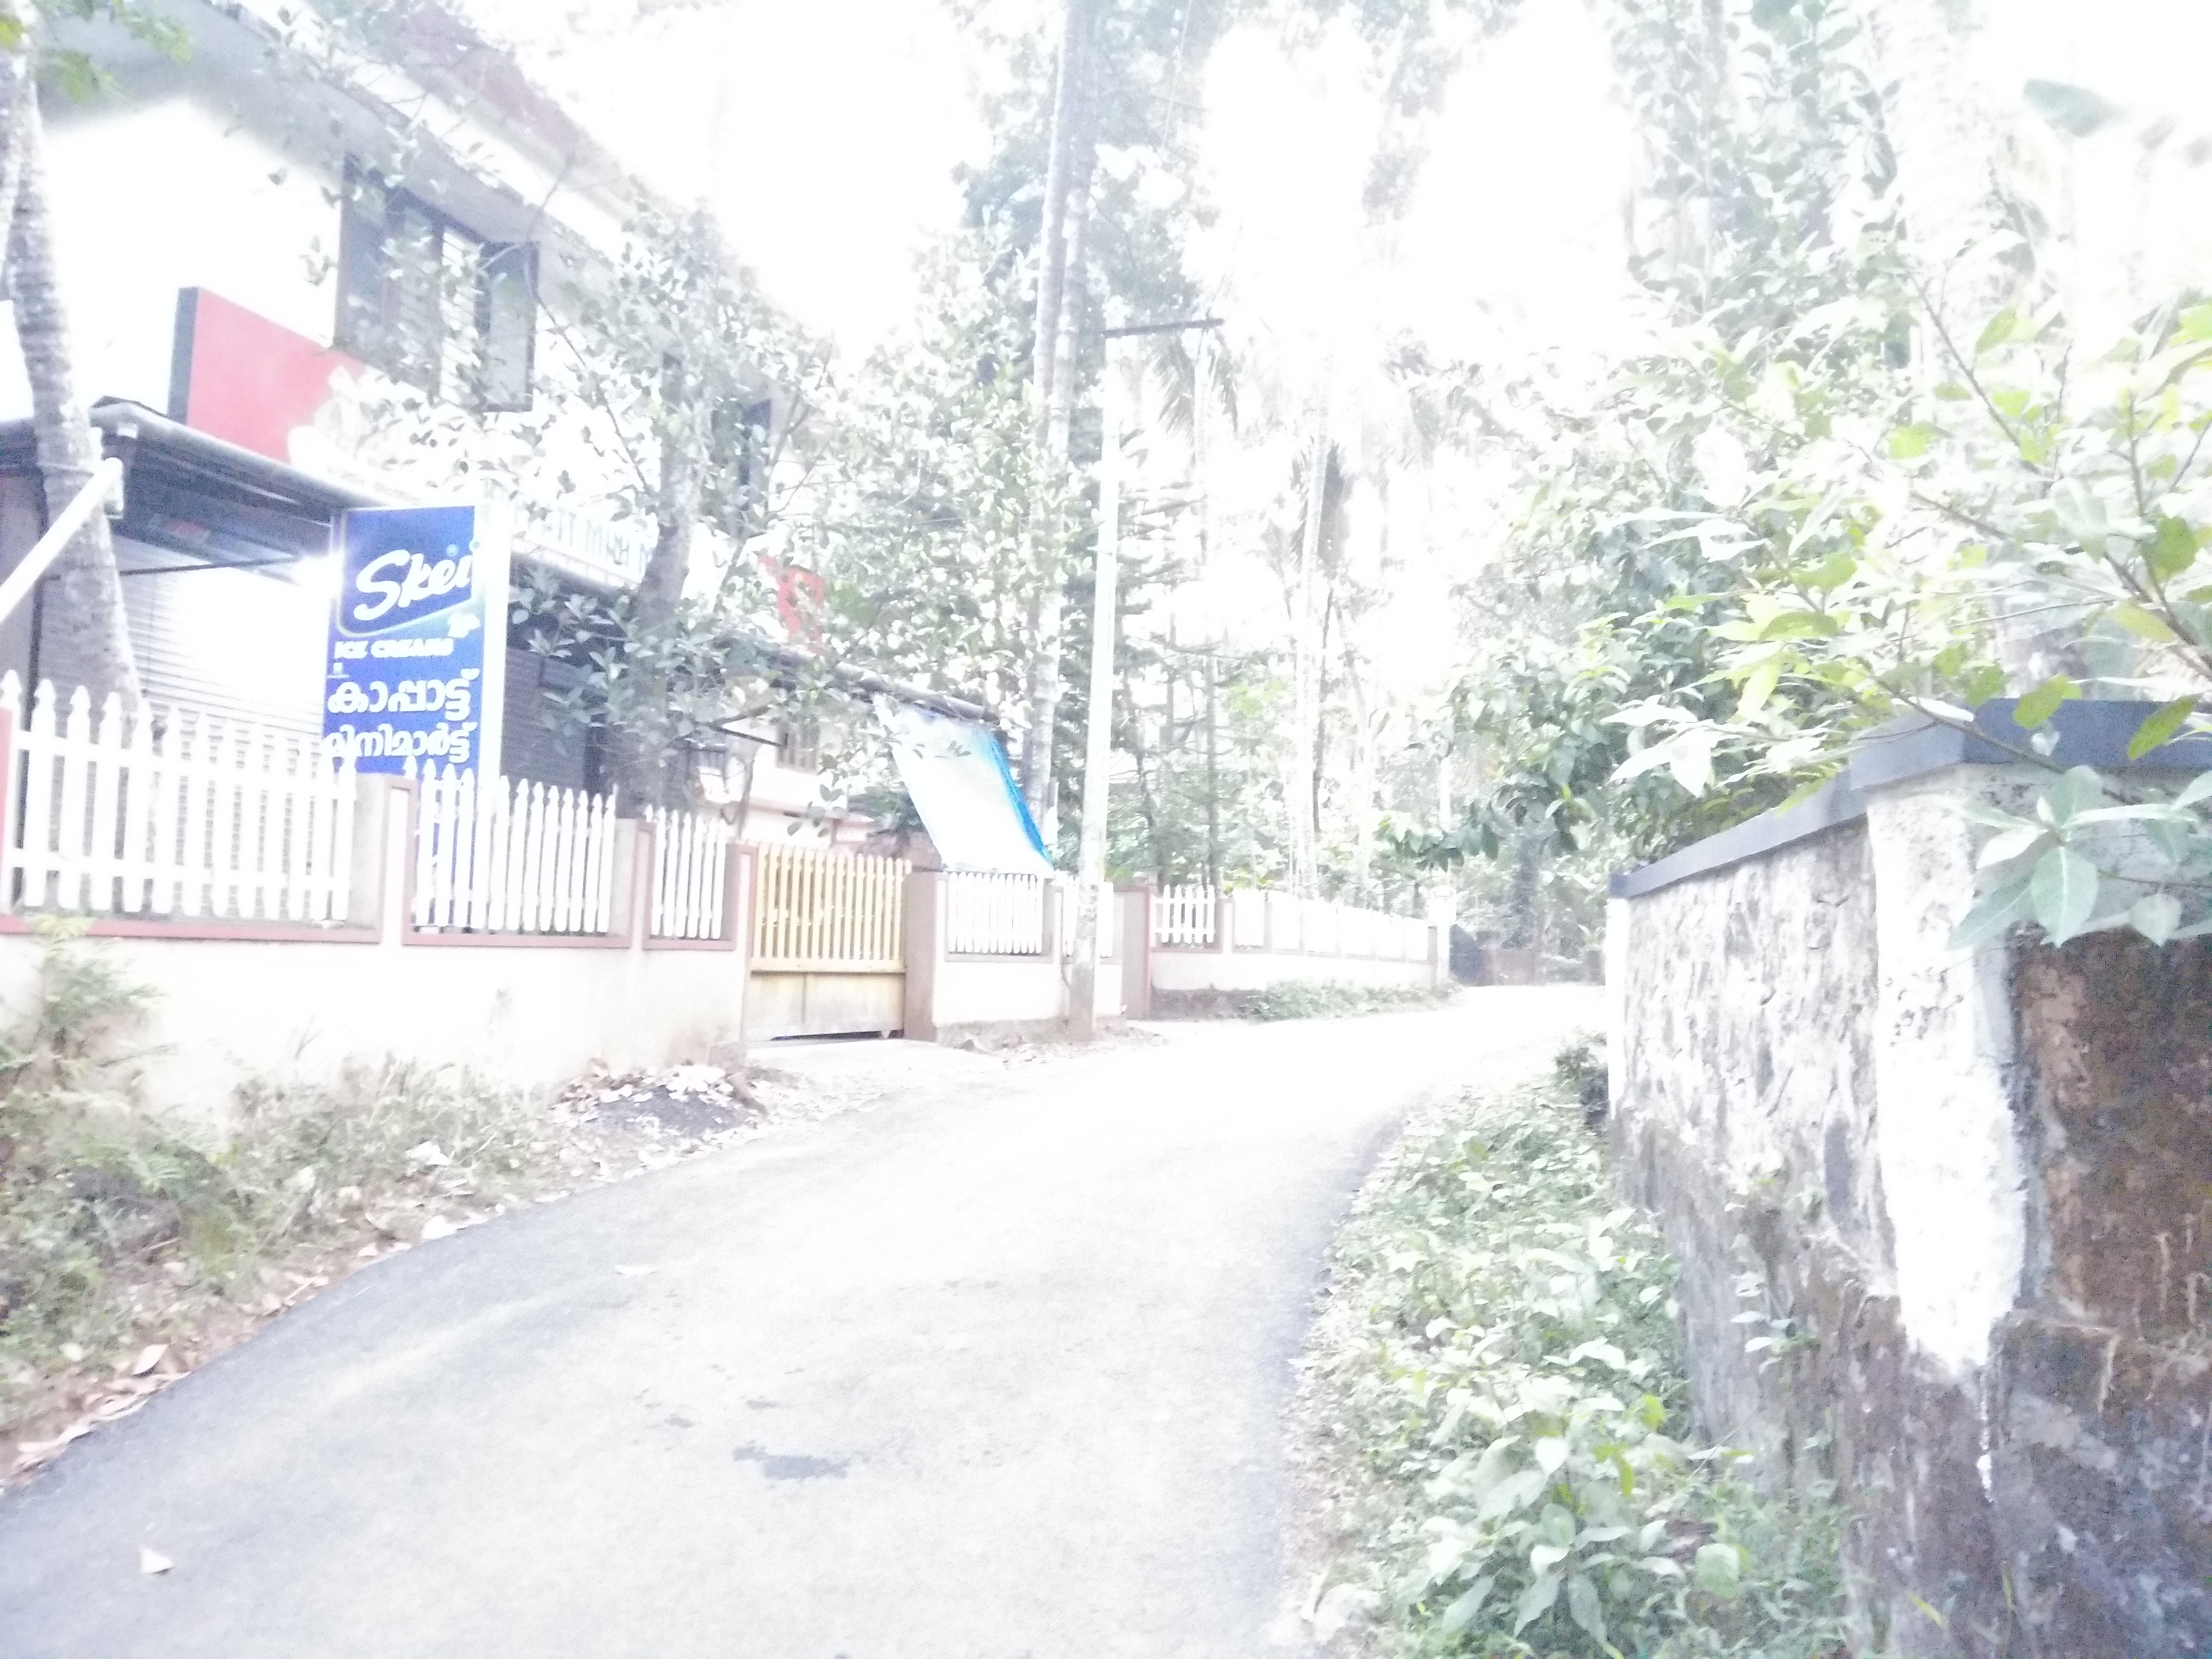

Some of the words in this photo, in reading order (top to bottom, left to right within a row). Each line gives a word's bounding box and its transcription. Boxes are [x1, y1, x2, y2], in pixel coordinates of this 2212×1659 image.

[367, 633, 462, 666] CREAMS
[325, 663, 491, 727] കാപ്പാട്ട്
[316, 718, 482, 769] മിനിമാർട്ട്